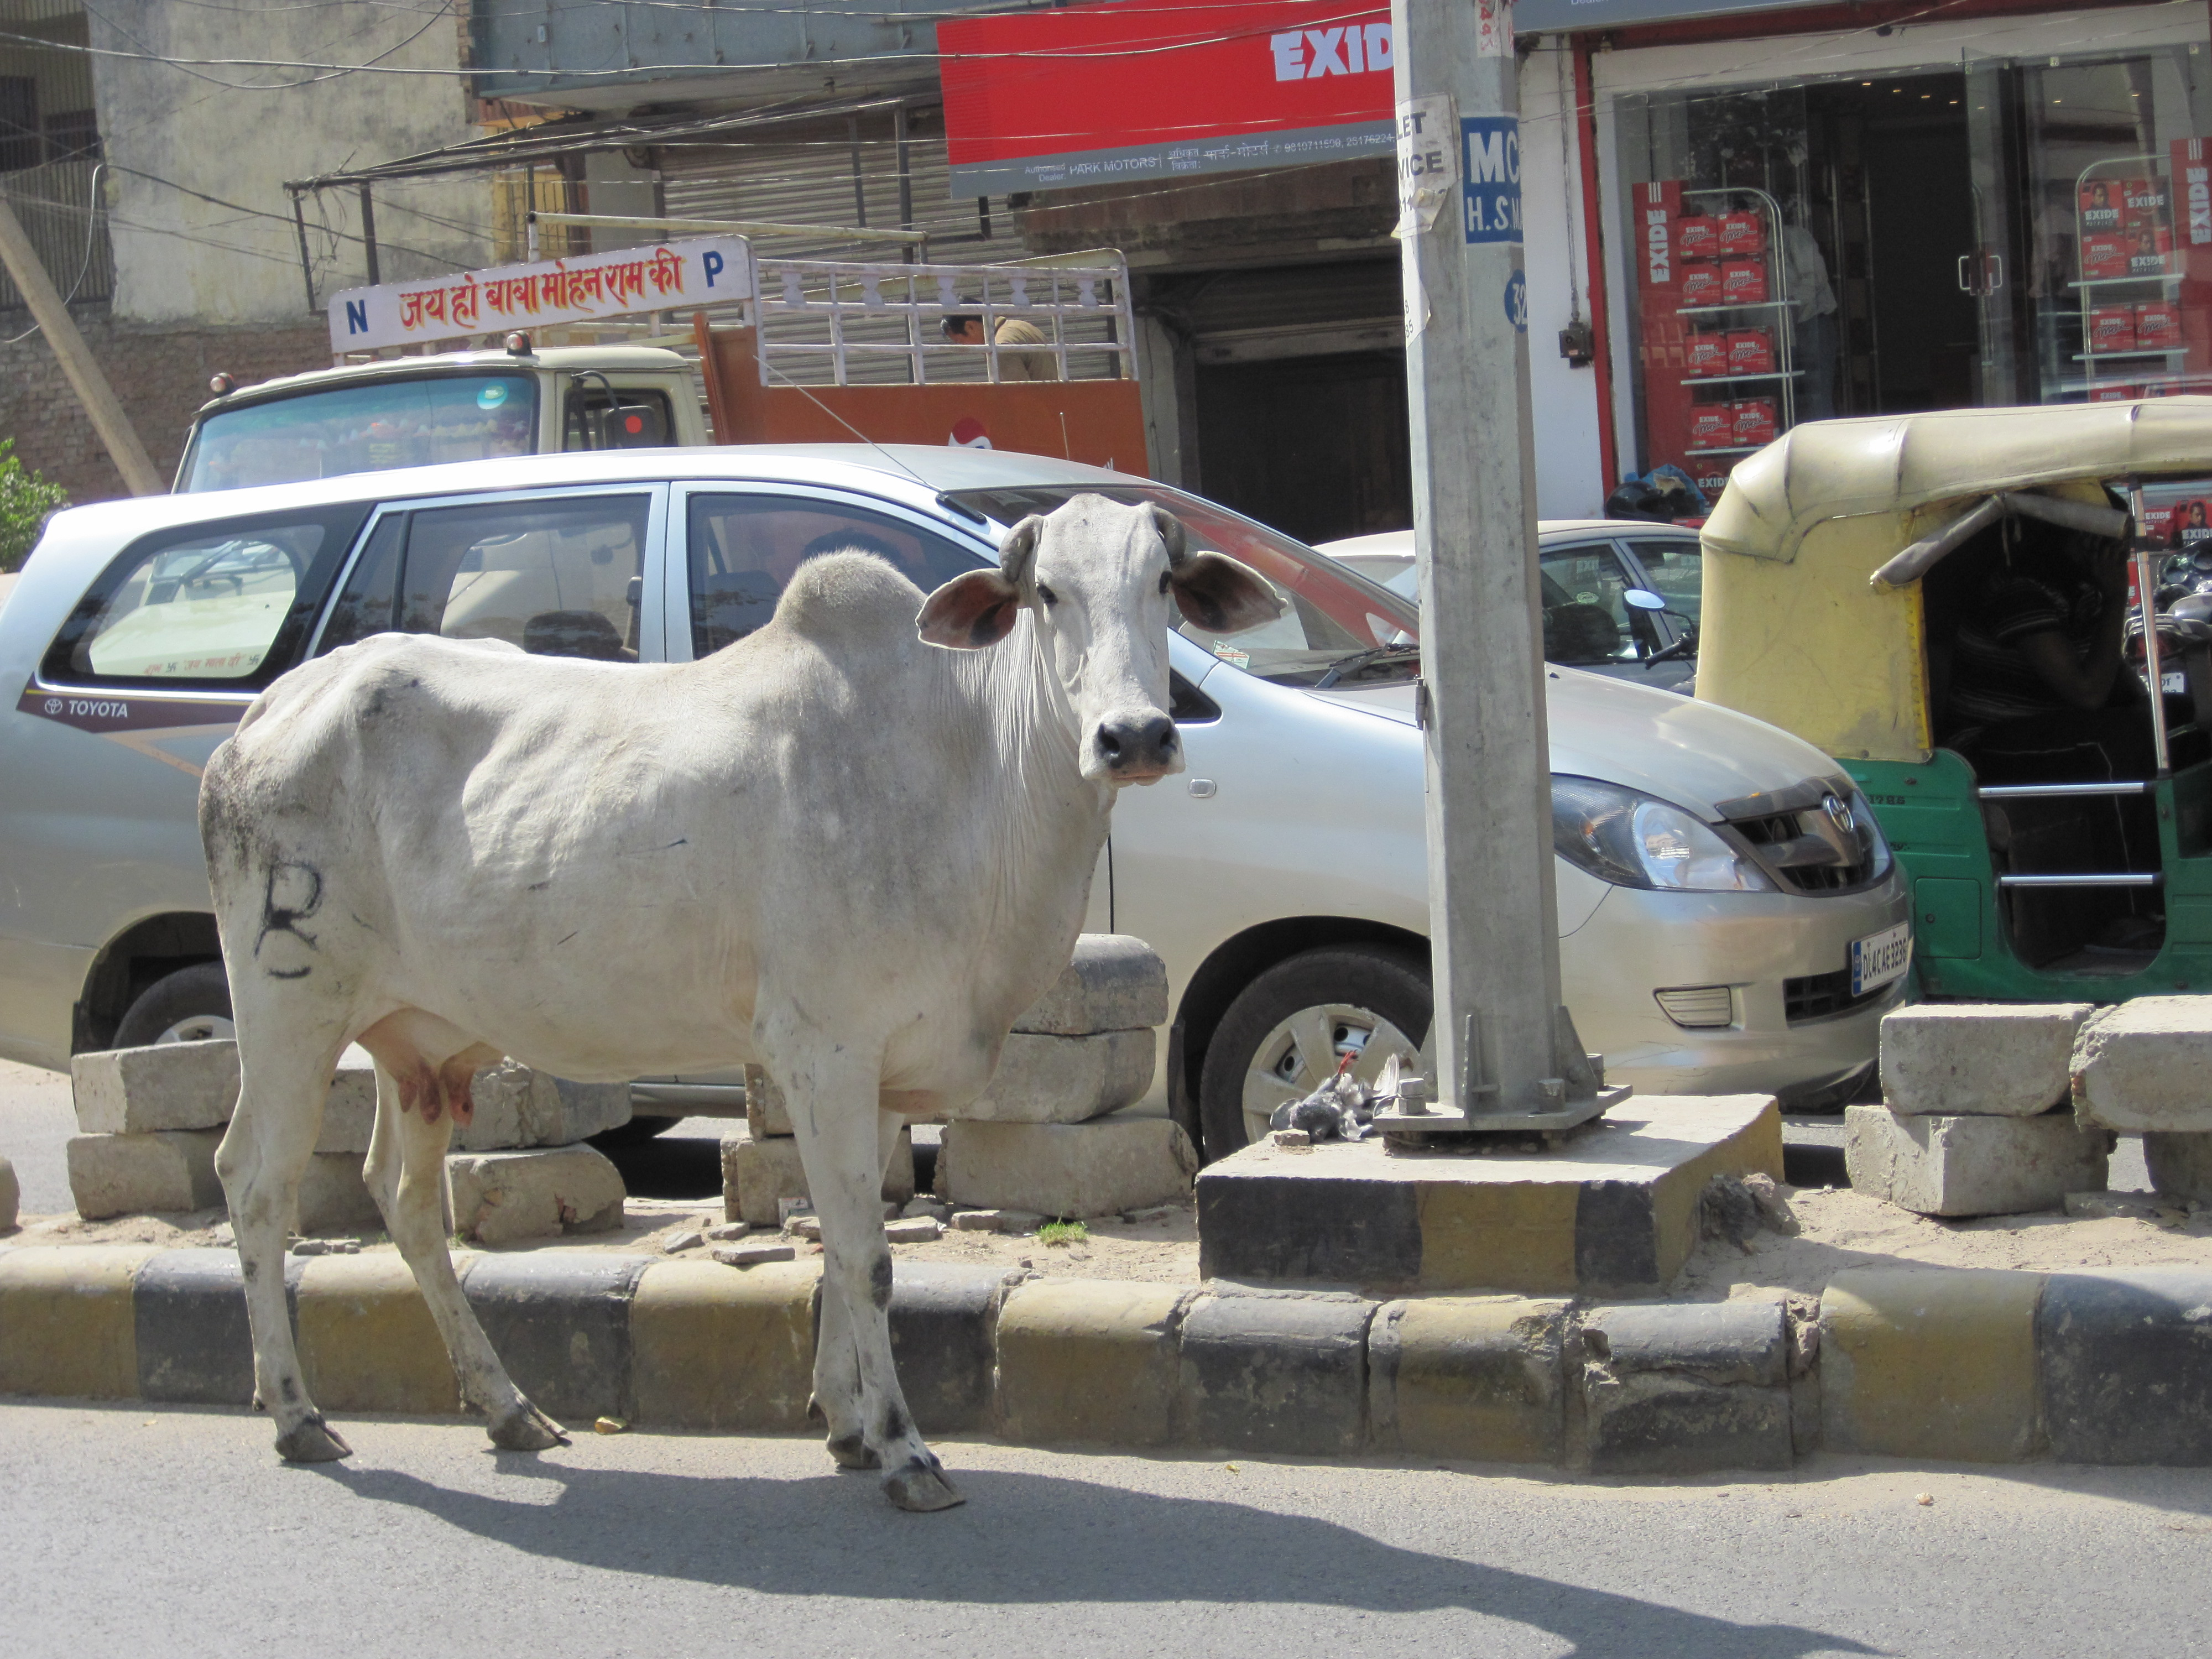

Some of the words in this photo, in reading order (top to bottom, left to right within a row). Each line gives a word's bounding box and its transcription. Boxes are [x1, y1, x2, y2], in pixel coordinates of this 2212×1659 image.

[1266, 4, 1398, 92] EXID
[396, 286, 450, 333] जय
[445, 267, 483, 332] हा॓
[481, 273, 541, 321] बाबा
[539, 254, 606, 319] मोहन
[601, 255, 647, 309] राम
[645, 242, 687, 296] की